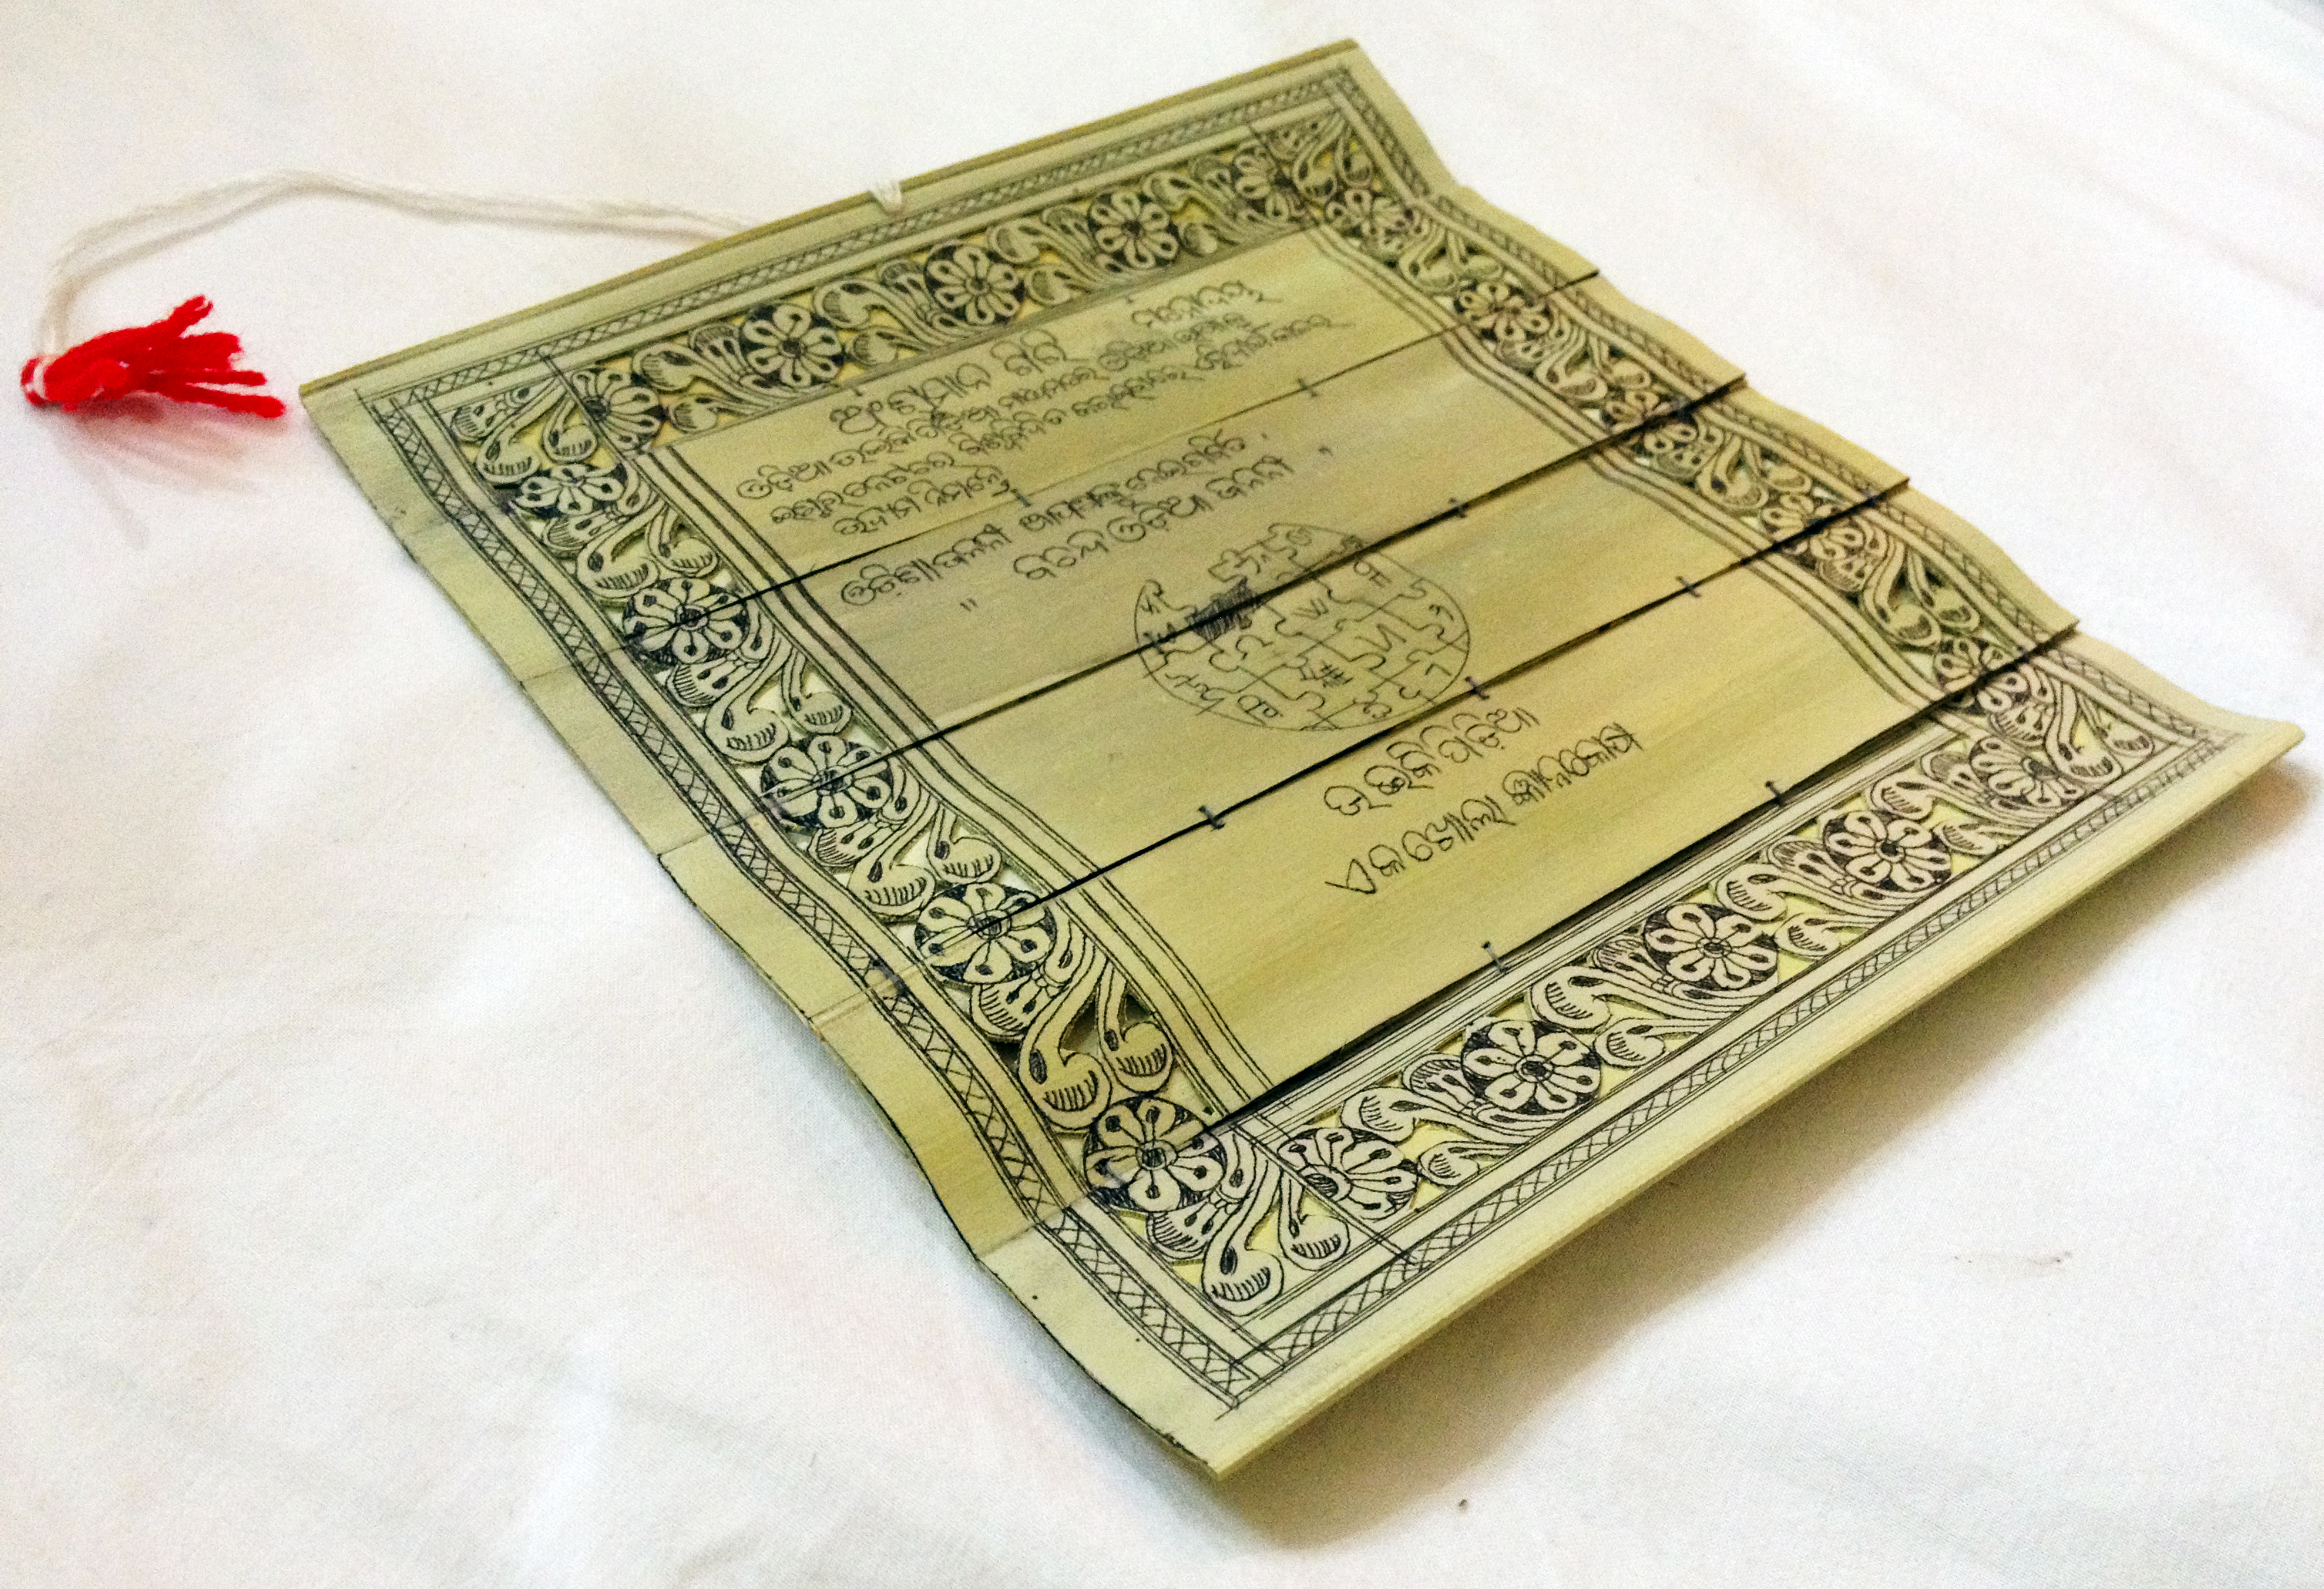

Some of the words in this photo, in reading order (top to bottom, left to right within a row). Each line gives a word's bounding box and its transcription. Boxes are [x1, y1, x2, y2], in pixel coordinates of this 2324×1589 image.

[983, 322, 1092, 387] ଗିରି
[1314, 697, 1548, 829] ଉଇକିପିଡ଼ିଆ
[1324, 790, 1518, 901] ଏକଚଖାଲା